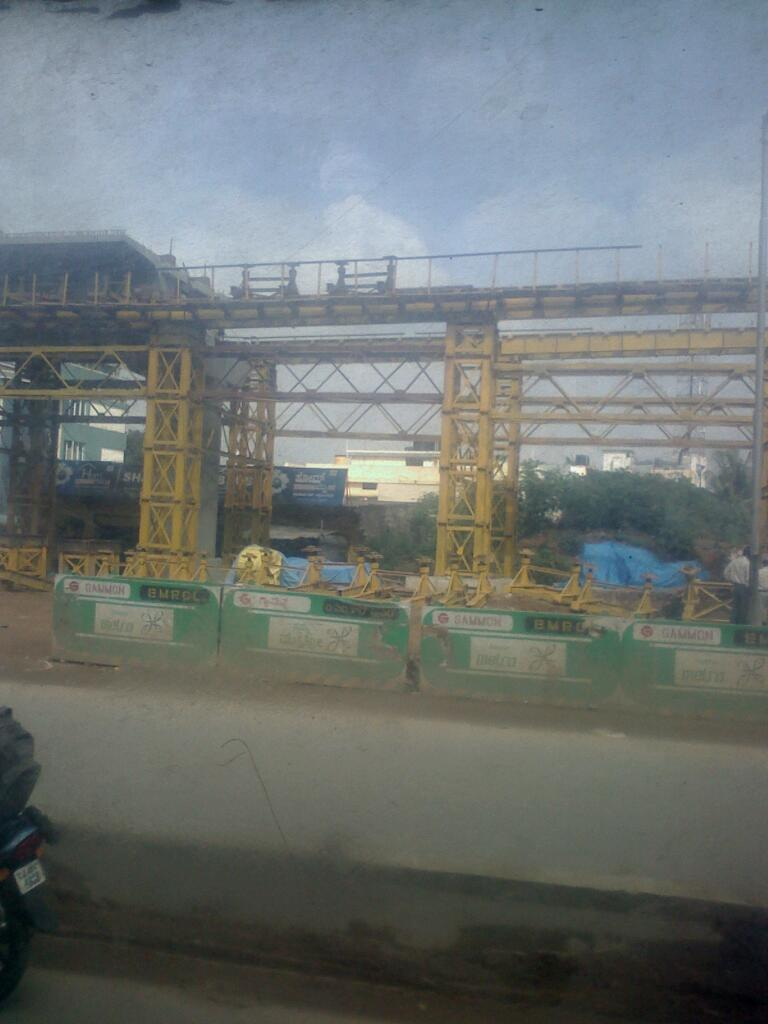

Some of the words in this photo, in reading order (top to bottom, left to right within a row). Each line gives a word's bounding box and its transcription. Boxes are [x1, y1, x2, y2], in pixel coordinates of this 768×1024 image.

[443, 610, 507, 631] SAMMON
[655, 619, 725, 647] GAMMON